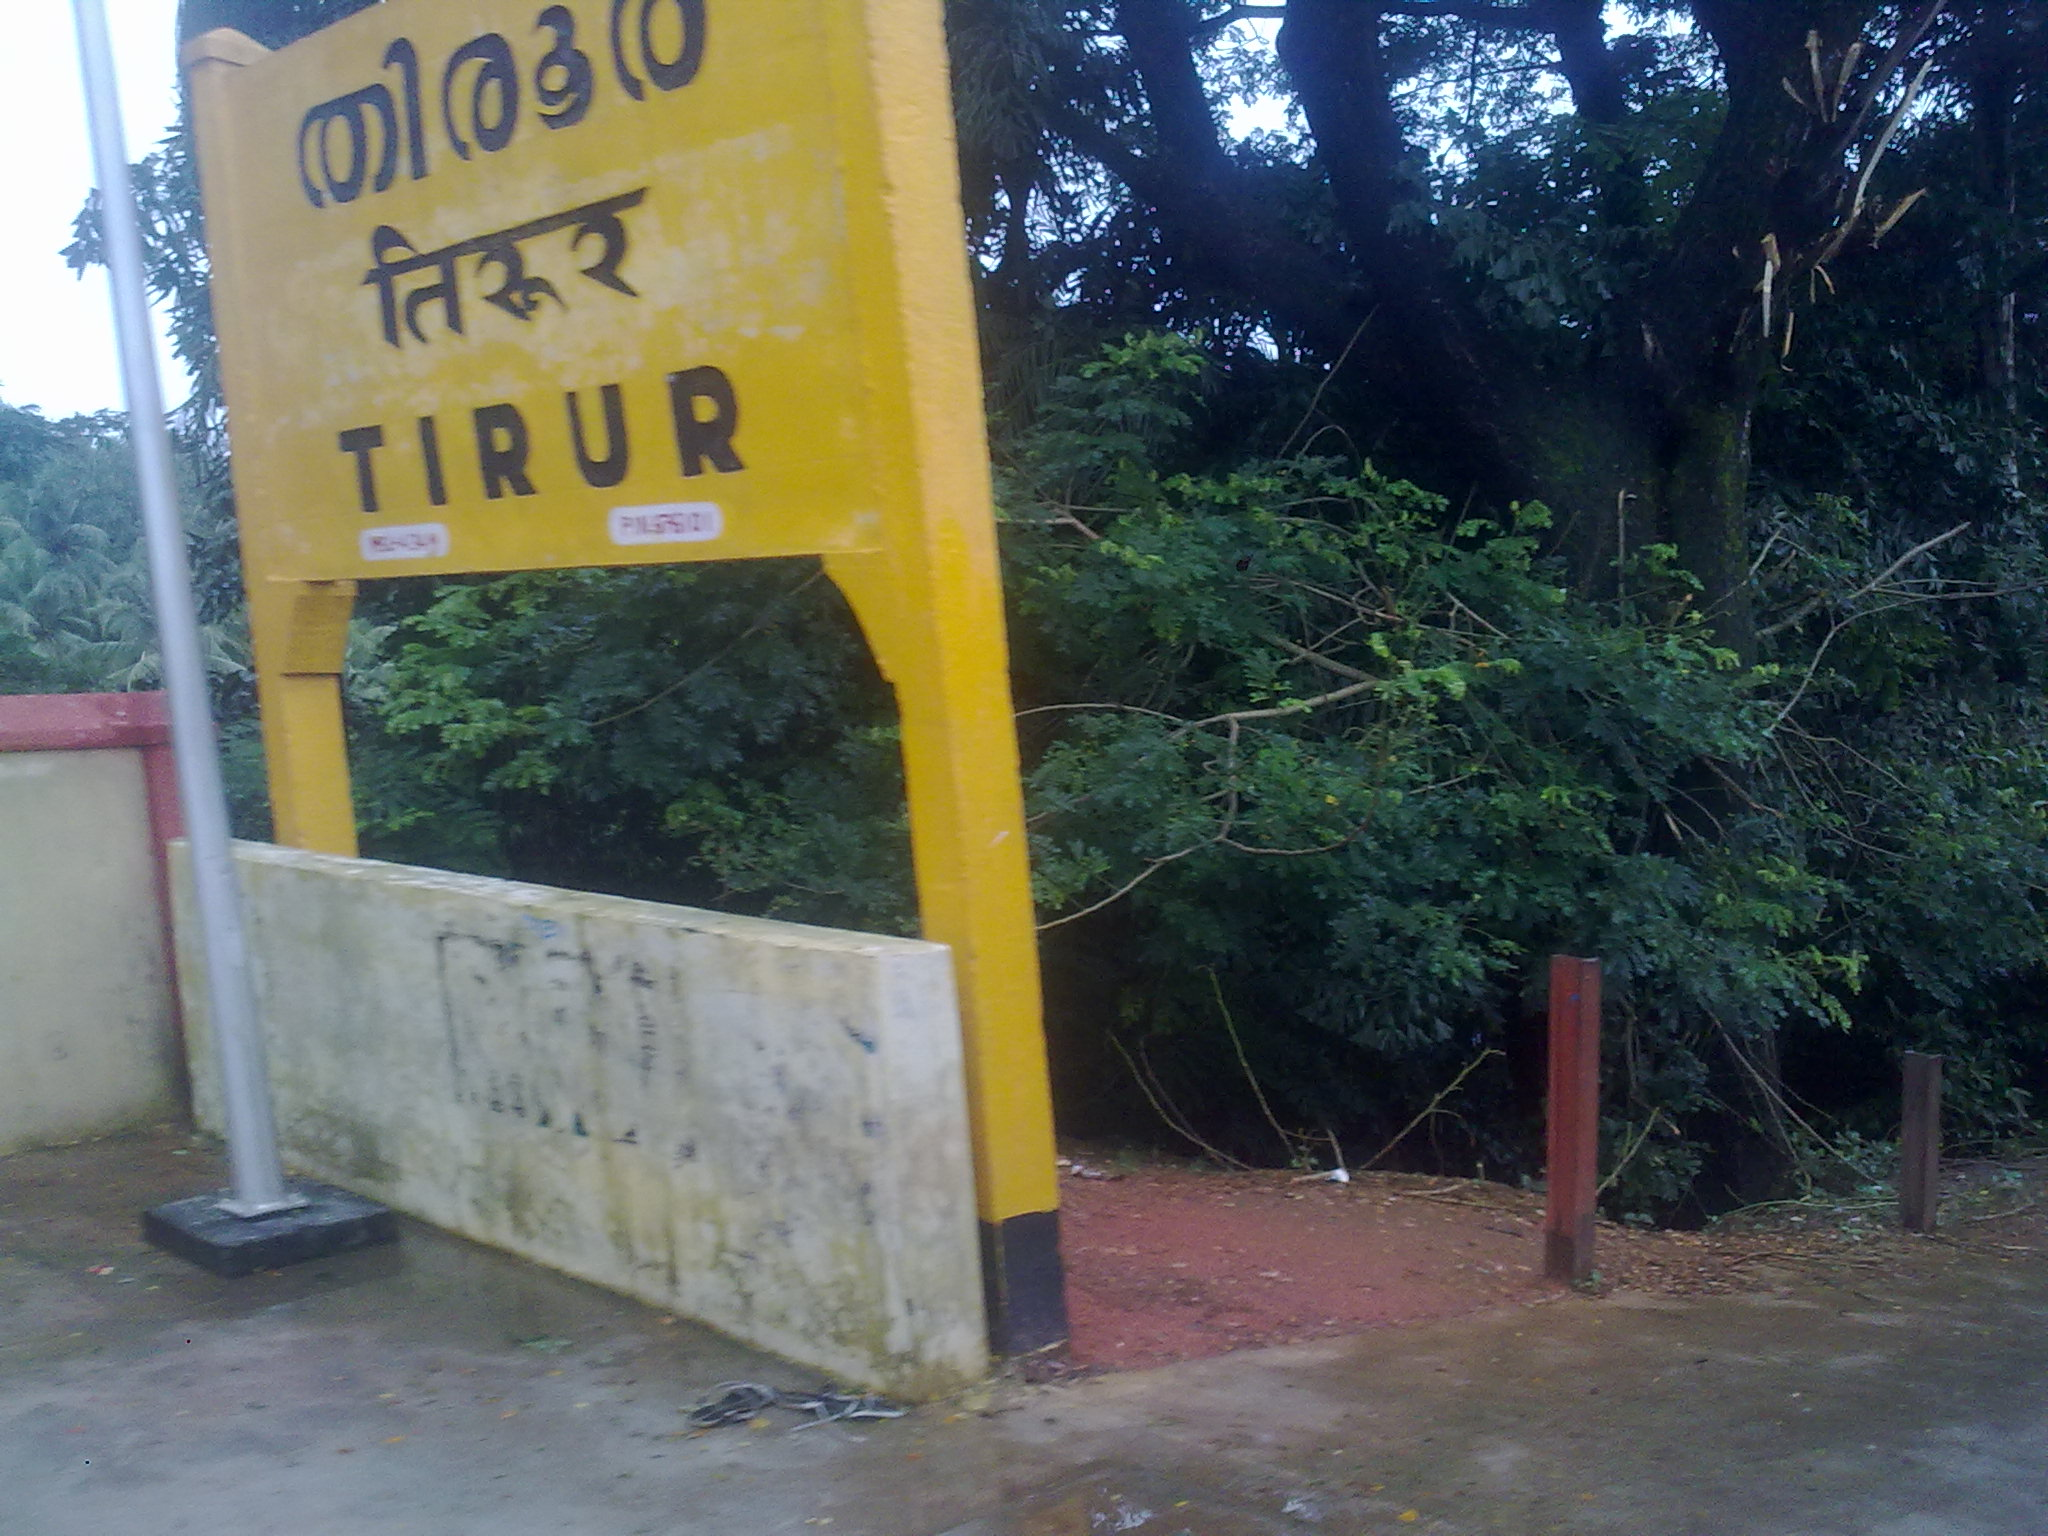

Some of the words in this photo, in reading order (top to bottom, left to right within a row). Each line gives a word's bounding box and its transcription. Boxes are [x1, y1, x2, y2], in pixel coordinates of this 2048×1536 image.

[287, 0, 712, 215] തിരൂർ
[357, 177, 649, 356] तिरूर
[328, 356, 747, 519] TIRUR